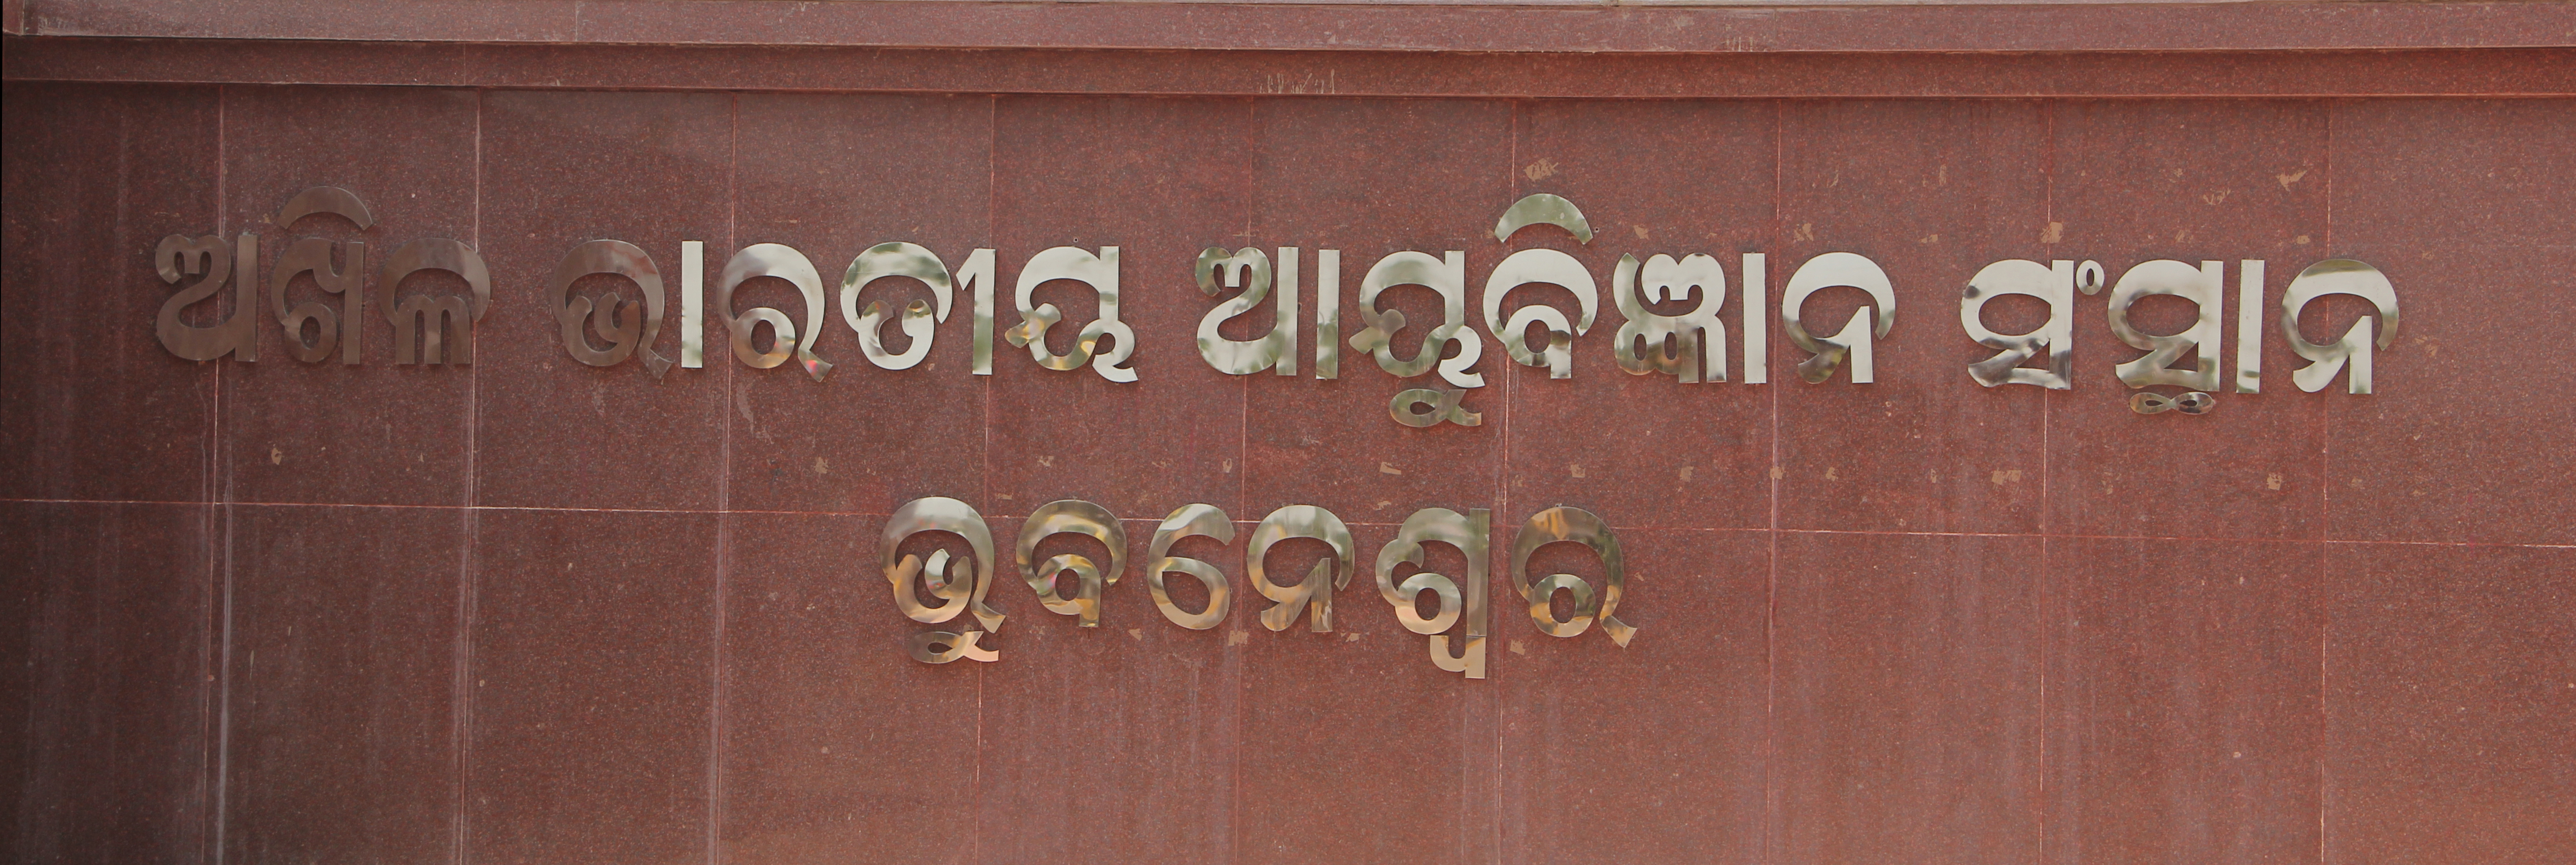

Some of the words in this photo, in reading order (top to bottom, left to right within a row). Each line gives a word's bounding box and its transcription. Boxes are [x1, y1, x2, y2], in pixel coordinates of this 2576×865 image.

[146, 176, 497, 373] ଅଖିଳ
[542, 234, 1140, 388] ଭାରତୀୟ
[1195, 187, 1907, 437] ଆୟୁବିଜ୍ଞାନ
[1944, 242, 2404, 419] ସଂସ୍ଥାନ
[863, 495, 1641, 682] ଭୁବନେଶ୍ବର